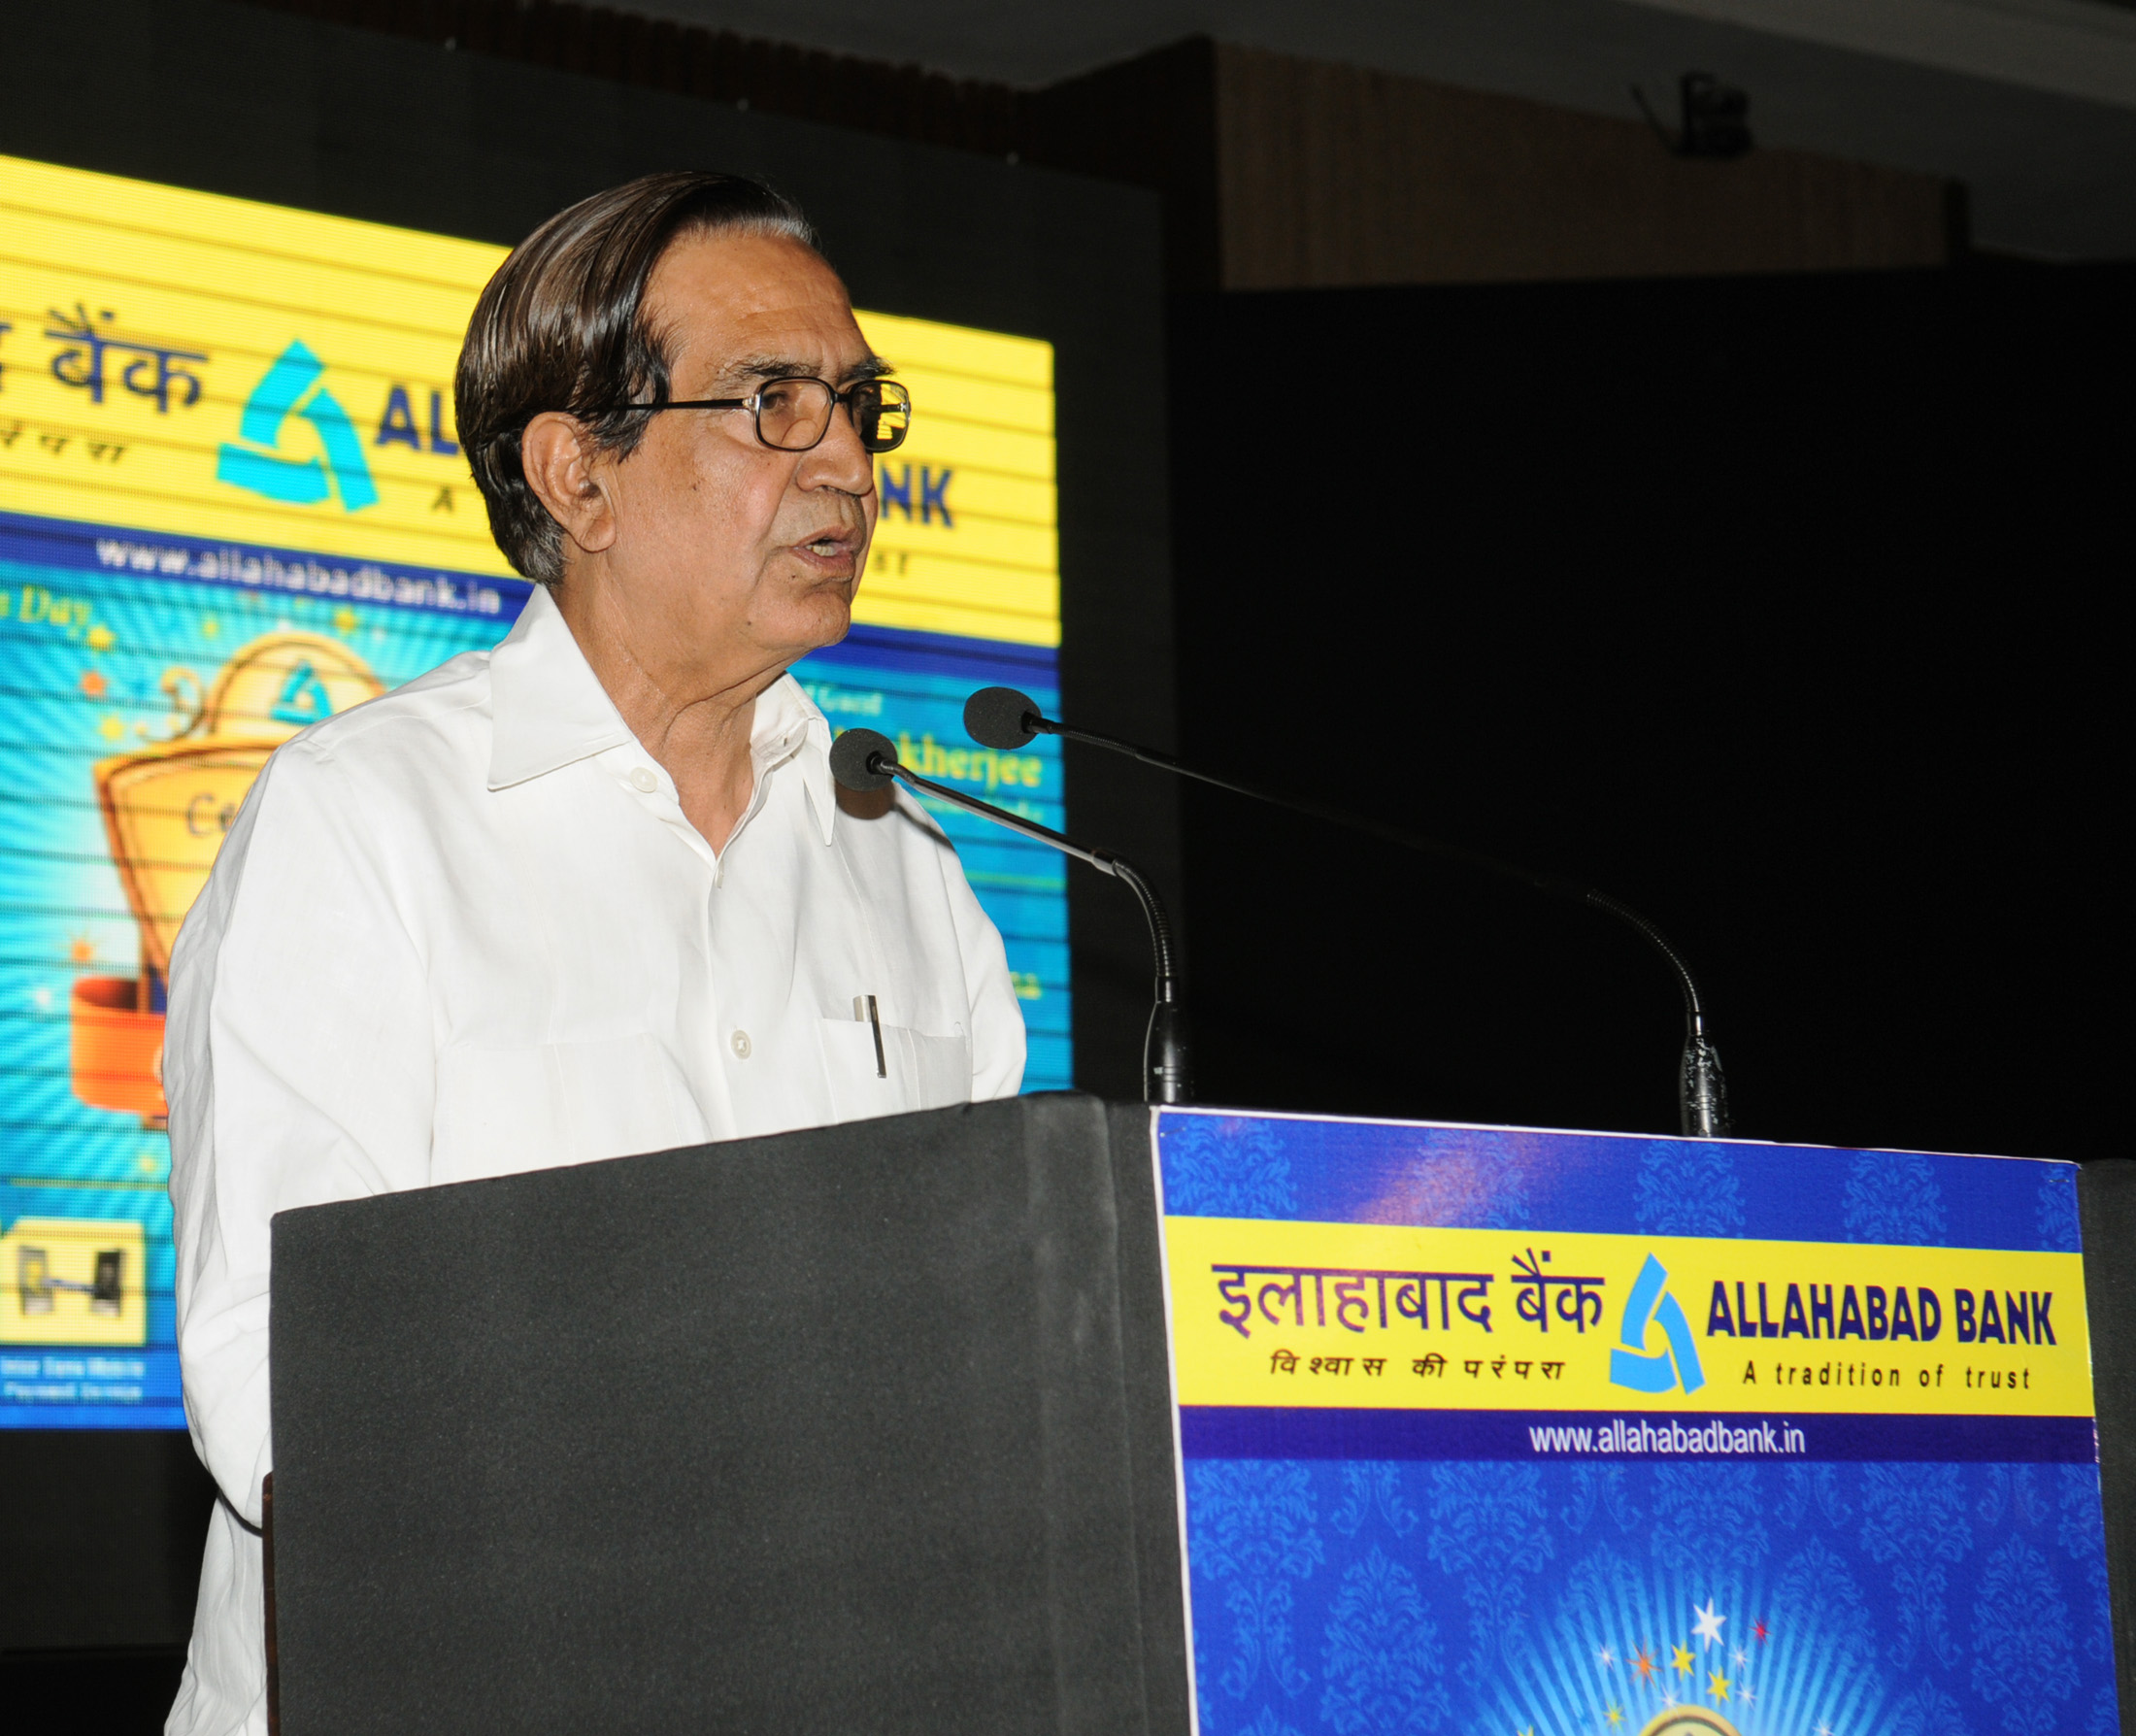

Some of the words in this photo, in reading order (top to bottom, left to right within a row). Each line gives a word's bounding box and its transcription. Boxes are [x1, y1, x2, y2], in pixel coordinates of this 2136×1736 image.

[33, 294, 218, 423] बैंक
[88, 529, 511, 618] www.allahabadbank.in
[1214, 1259, 1498, 1347] इलाहाबाद
[1504, 1241, 1610, 1343] बैंक
[1701, 1273, 1949, 1344] ALLAHABAD
[1948, 1281, 2062, 1356] BANK
[1263, 1339, 1389, 1384] विश्वास
[1407, 1345, 1451, 1384] की
[1464, 1348, 1569, 1386] परंपरा
[1731, 1354, 1764, 1386] A
[1770, 1354, 1904, 1393] tradition
[1909, 1358, 1949, 1391] of
[1960, 1362, 2034, 1397] trust
[1521, 1411, 1814, 1460] www.allahabadbank.in